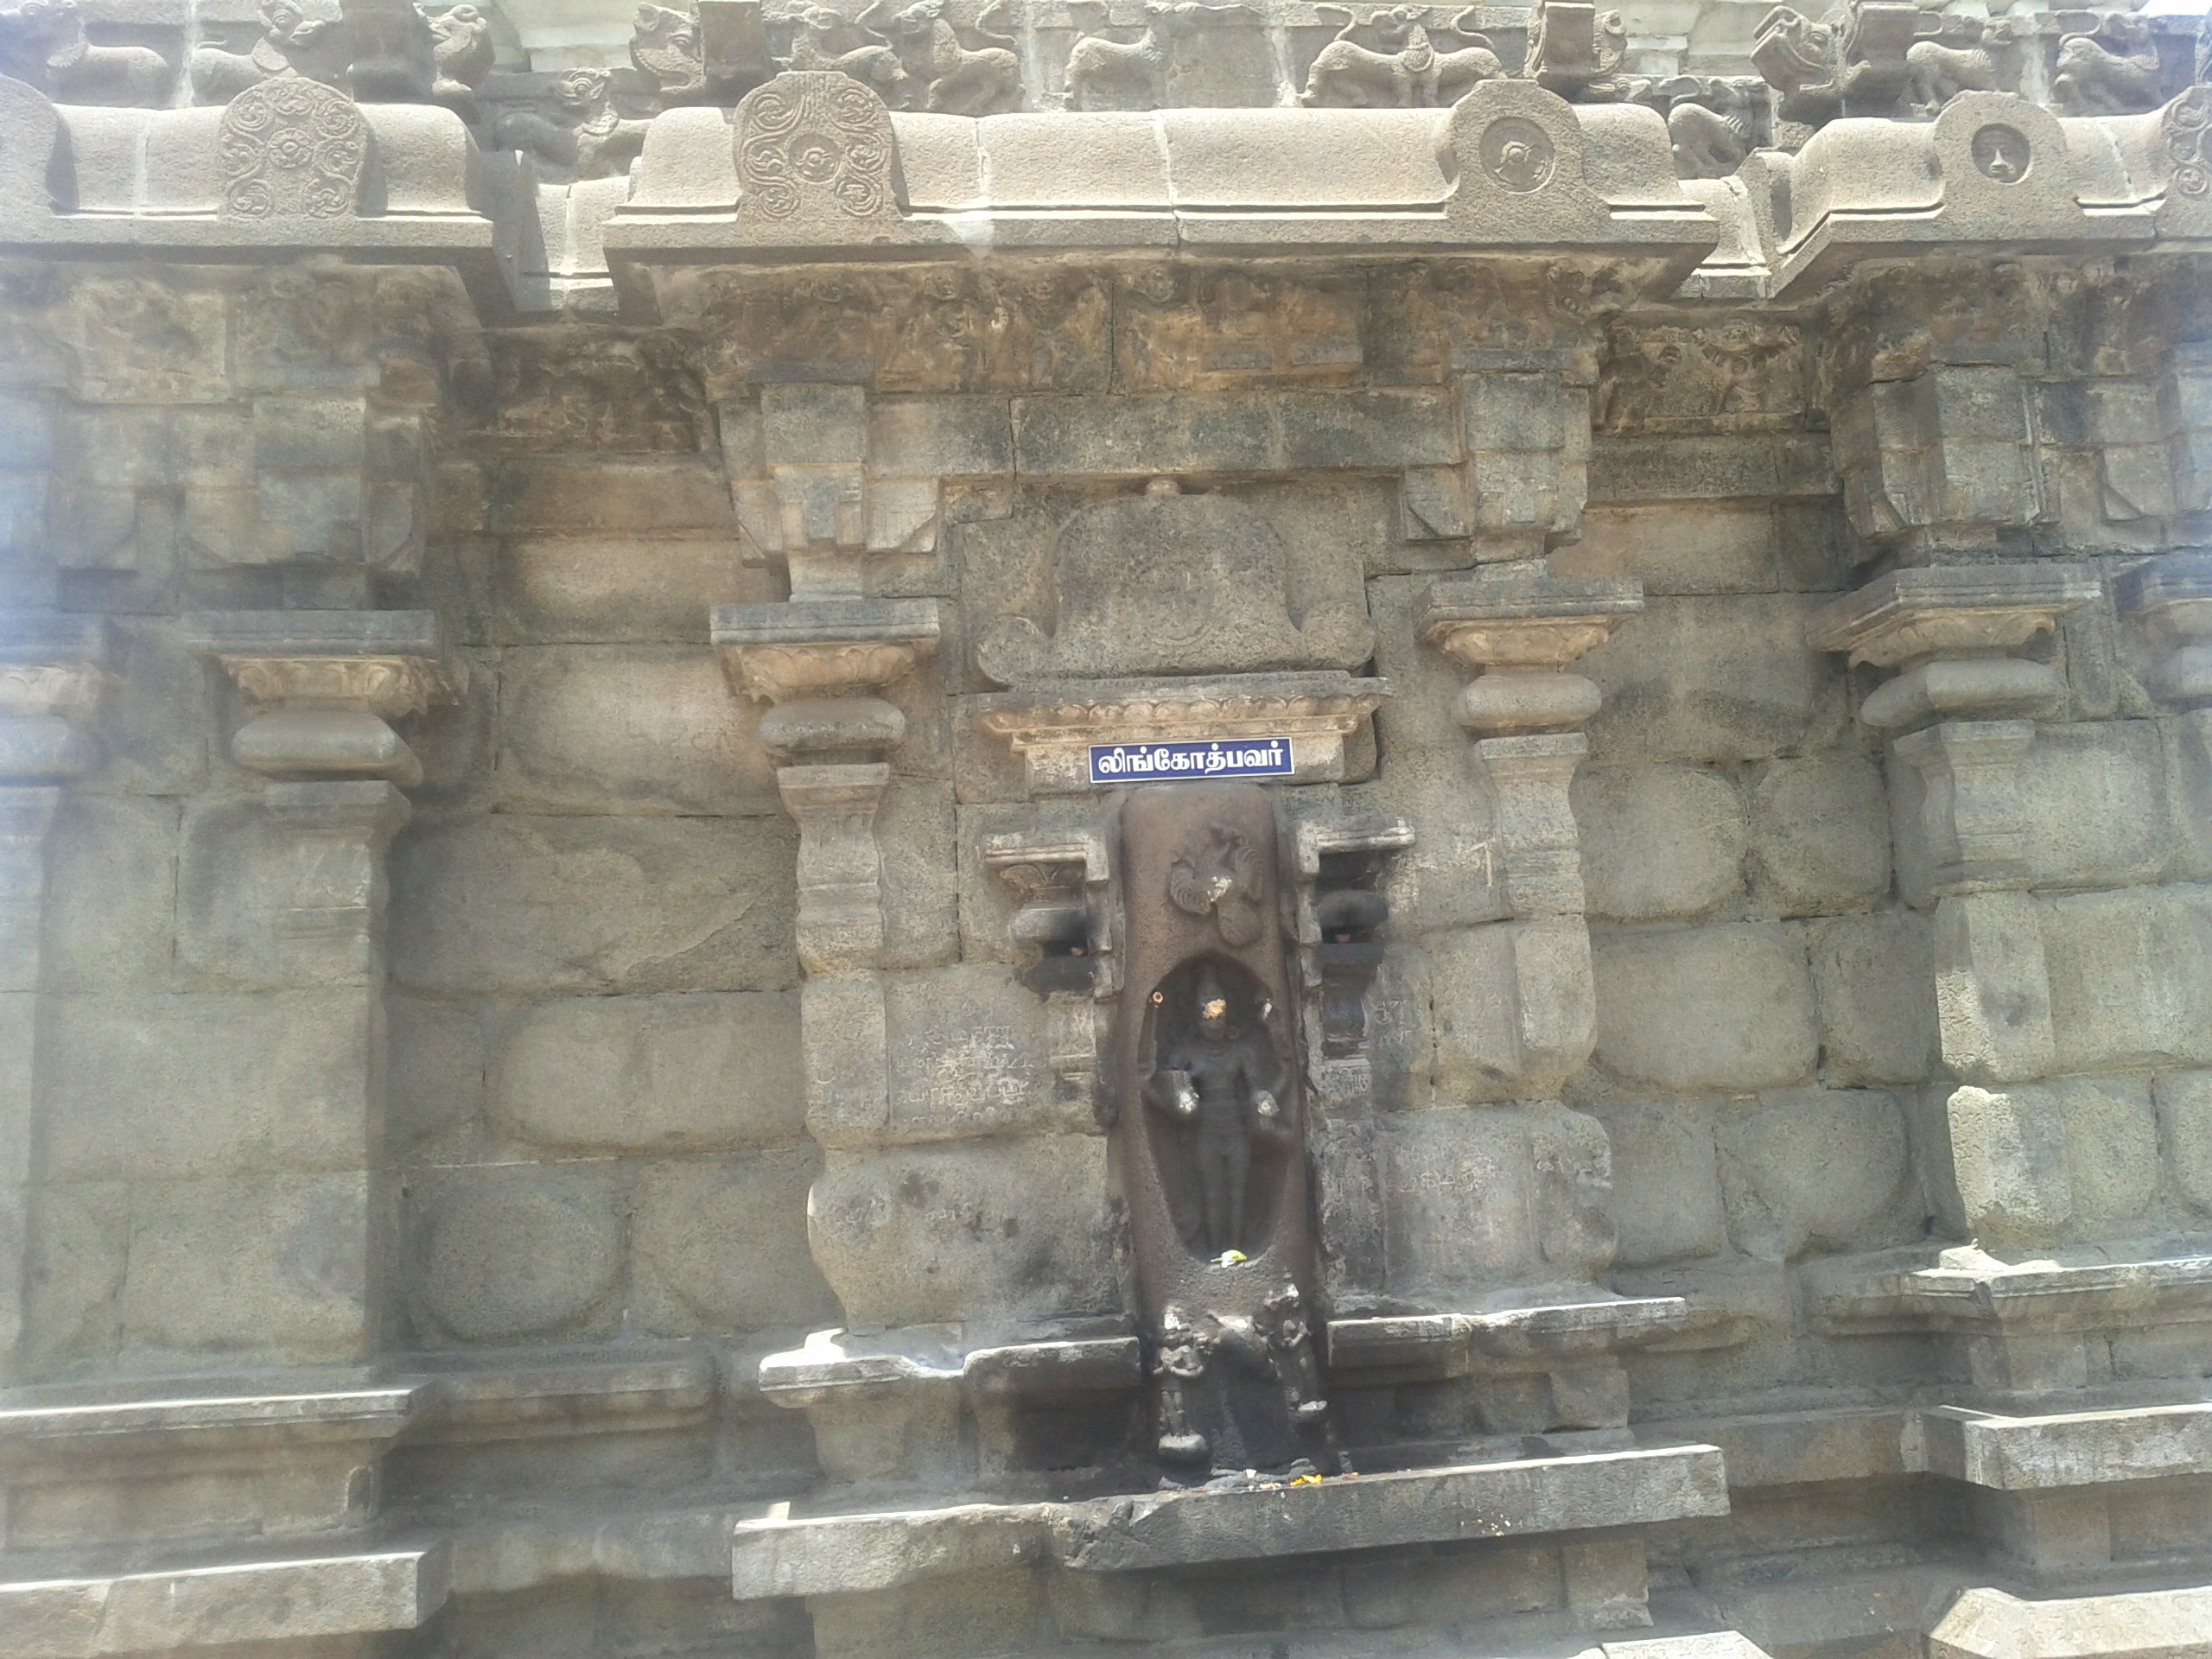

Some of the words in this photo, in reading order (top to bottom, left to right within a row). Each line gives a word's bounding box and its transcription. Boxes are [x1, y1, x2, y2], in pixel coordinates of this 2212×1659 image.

[1096, 734, 1290, 780] லிங்கோத்பவா்